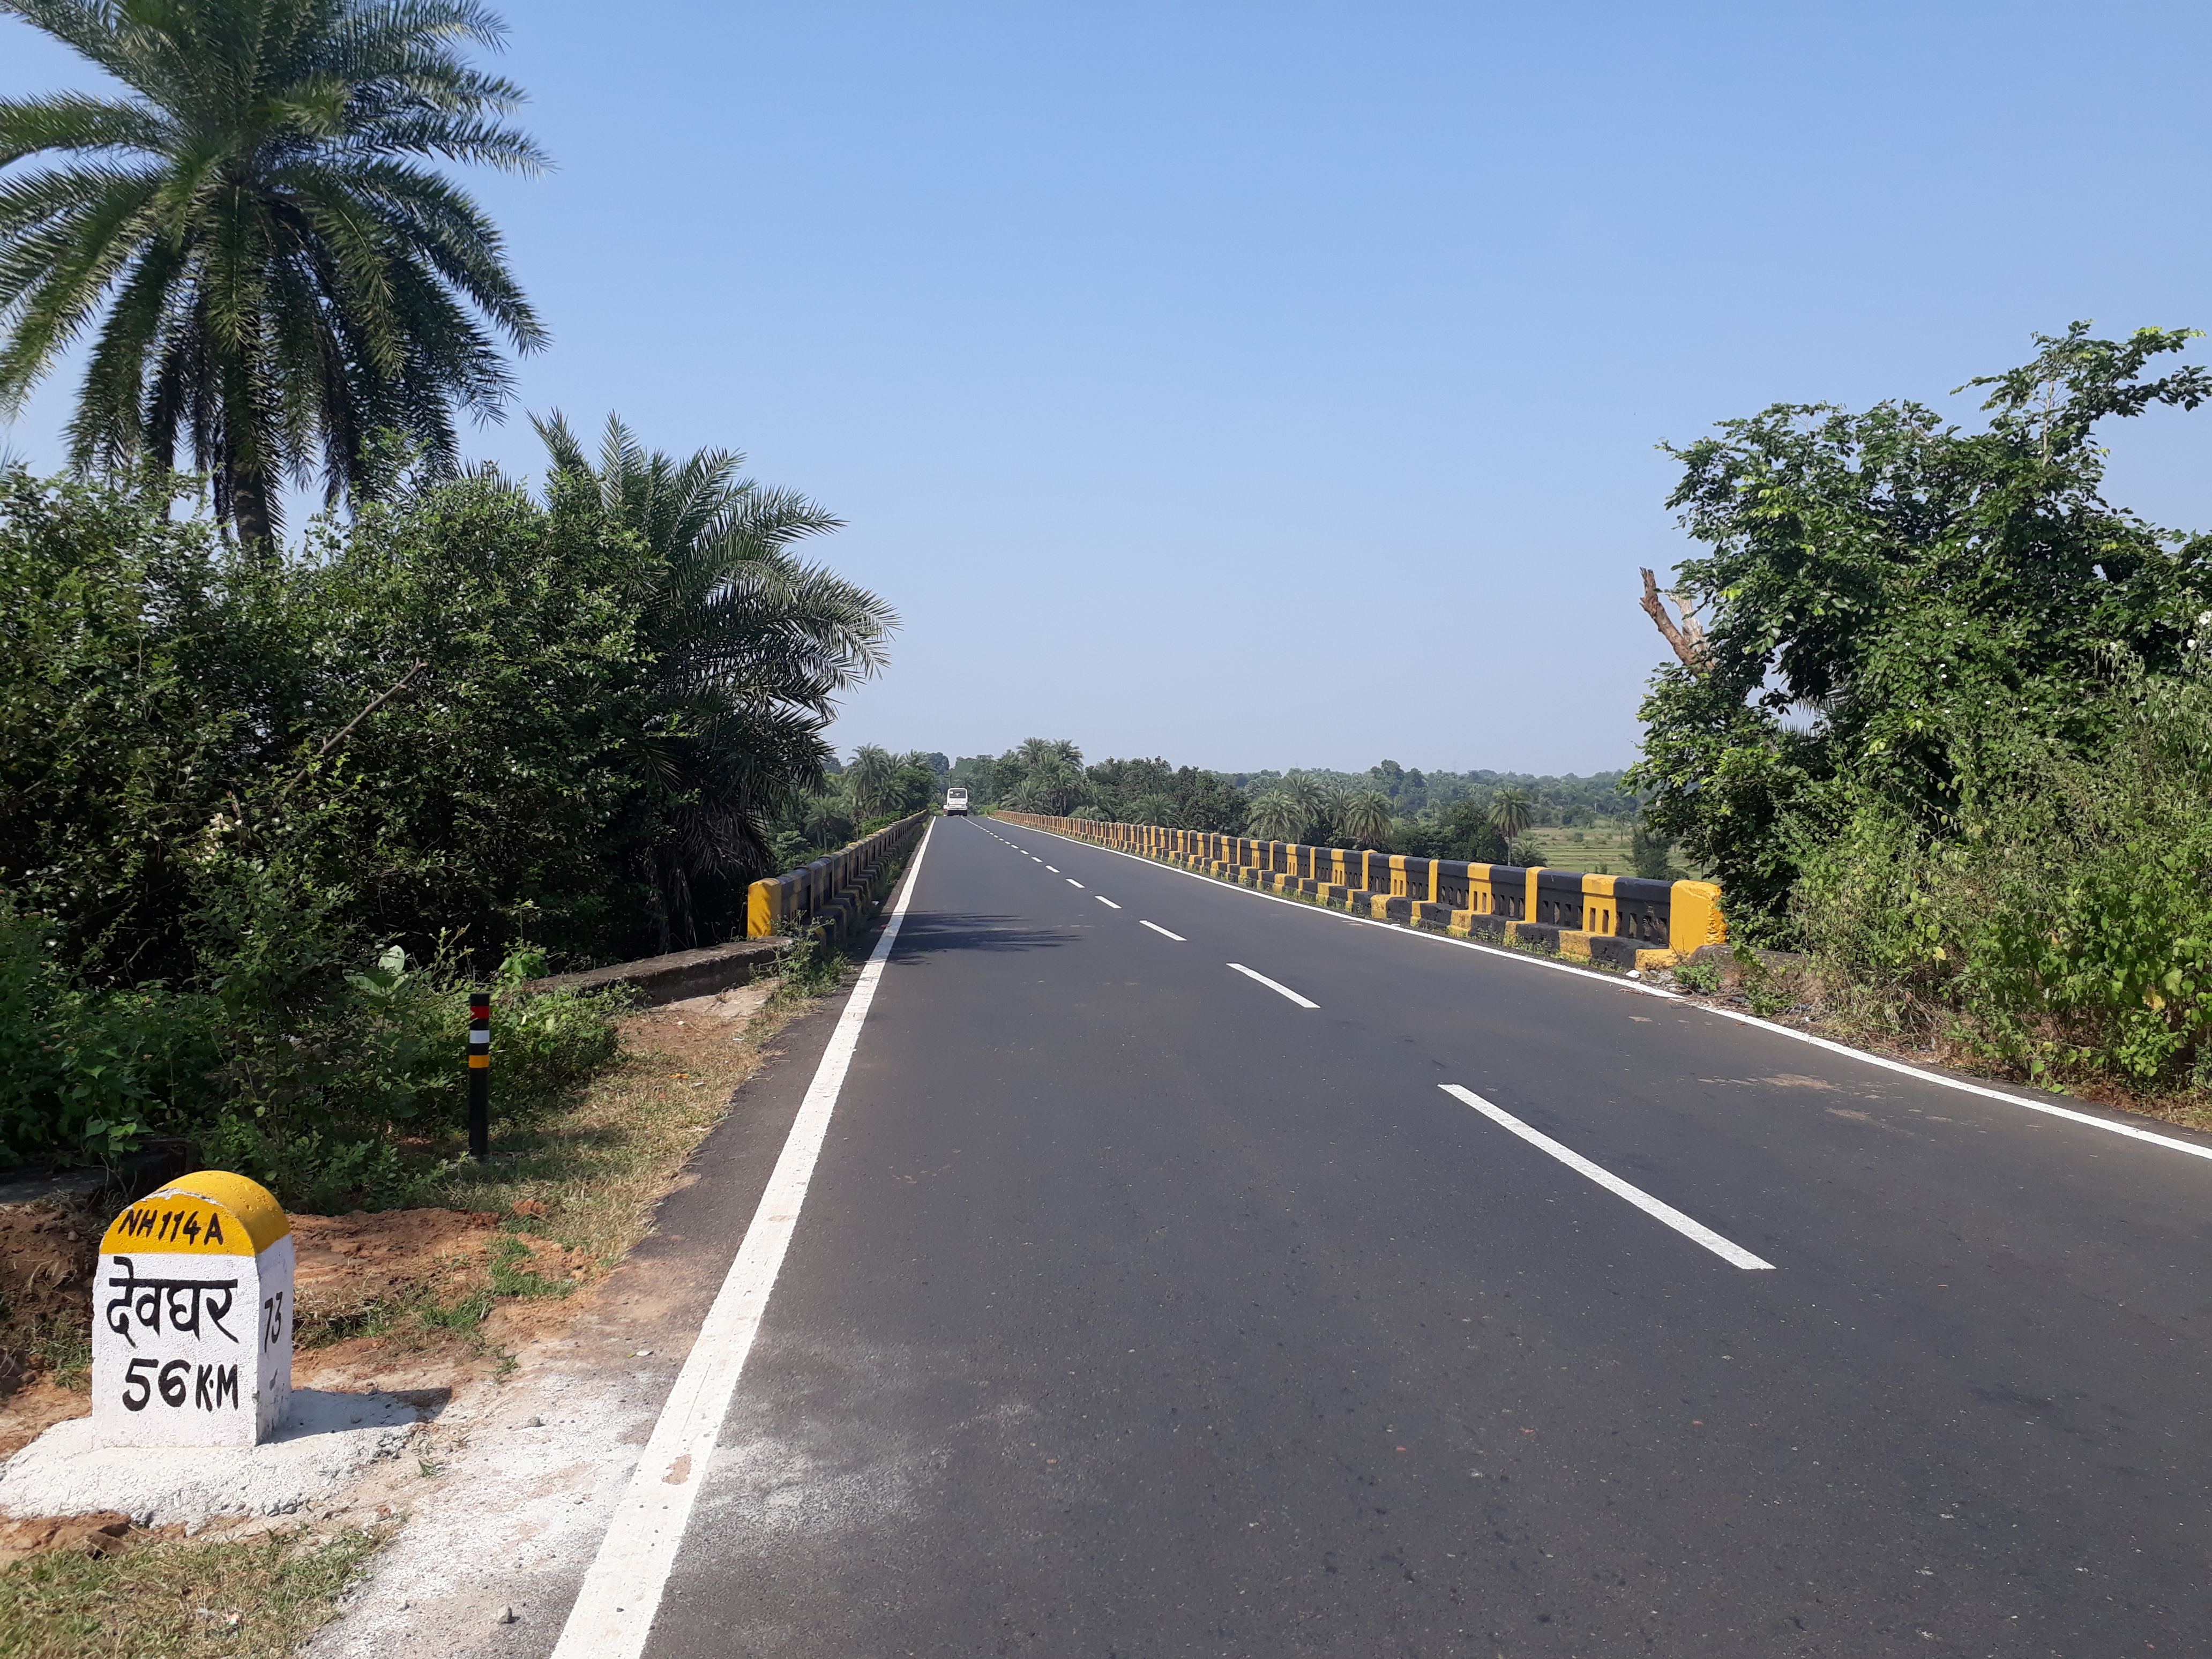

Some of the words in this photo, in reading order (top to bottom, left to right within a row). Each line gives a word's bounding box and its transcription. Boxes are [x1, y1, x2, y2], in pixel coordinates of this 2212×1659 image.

[114, 1201, 227, 1253] NH114A
[104, 1252, 241, 1350] देवघर
[261, 1289, 285, 1355] 73
[119, 1356, 242, 1416] ५०५।